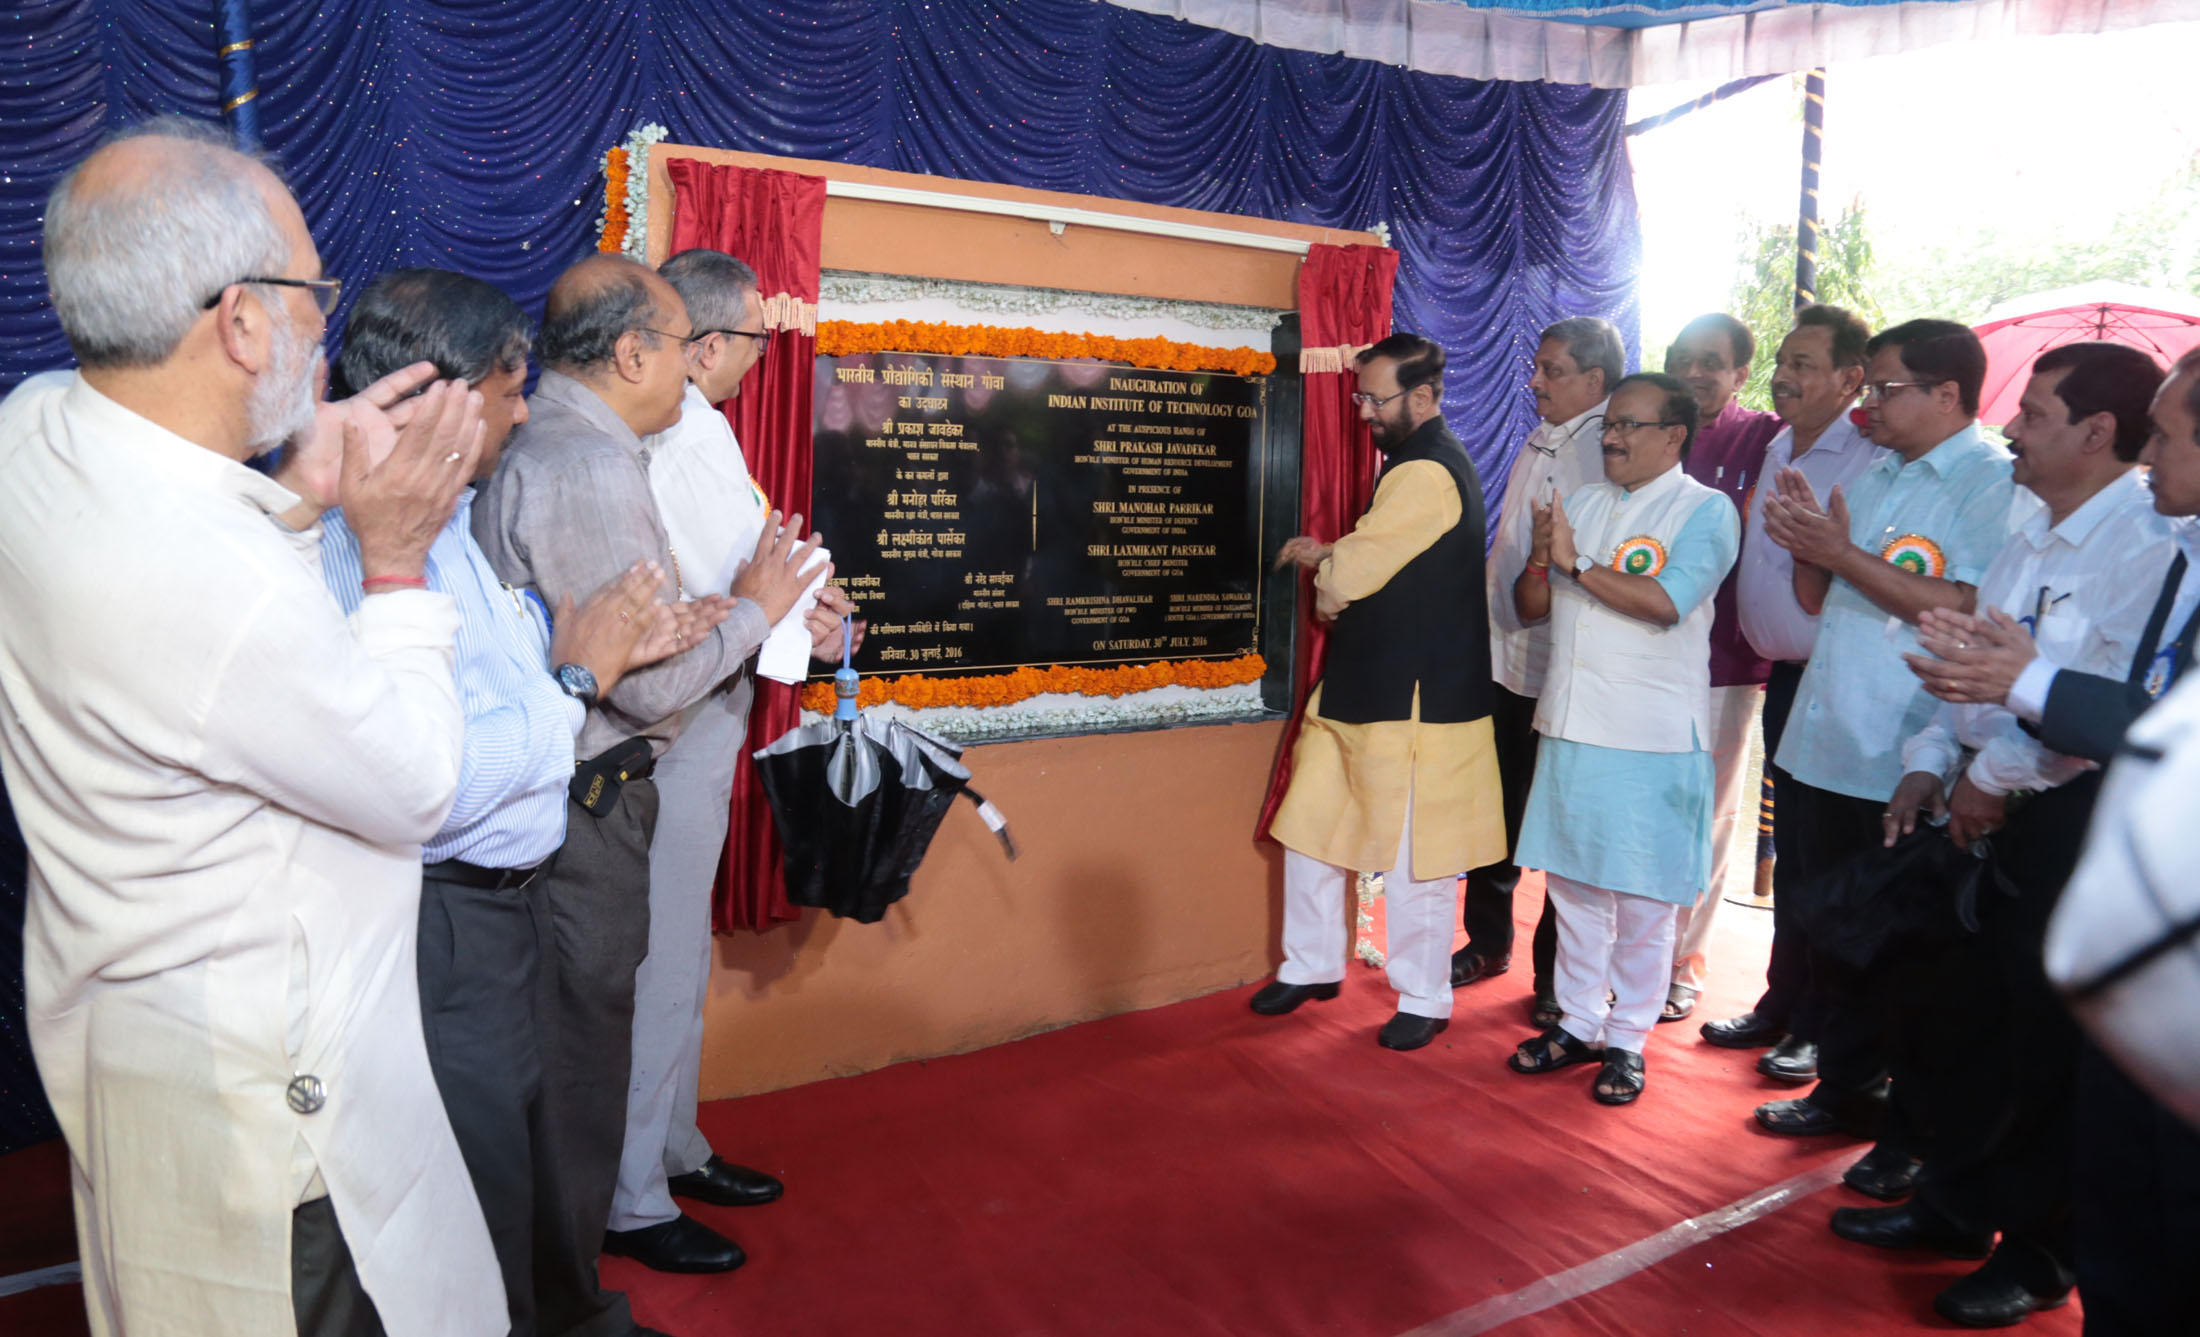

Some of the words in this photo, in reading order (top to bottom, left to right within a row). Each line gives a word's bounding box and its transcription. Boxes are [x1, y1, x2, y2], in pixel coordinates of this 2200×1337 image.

[832, 361, 879, 387] भारतीय
[876, 357, 937, 388] प्रौद्योगिकी
[936, 363, 979, 392] संस्थान
[979, 365, 1008, 393] गोवा
[1108, 376, 1190, 397] INAUGURATION
[1182, 379, 1209, 399] OF
[895, 393, 914, 413] का
[913, 393, 953, 415] उद्घाटन
[1043, 393, 1089, 411] INDIAN
[1089, 393, 1149, 418] INSTITUTE
[1145, 397, 1168, 417] OF
[1164, 397, 1237, 421] TECHNOLOGY
[1234, 401, 1261, 420] GOA
[879, 411, 897, 437] श्री
[895, 418, 927, 438] प्रकाश
[924, 416, 968, 439] जावडेकर
[1091, 436, 1121, 455] SHRI
[1115, 438, 1167, 456] PRAKASH
[1160, 438, 1222, 457] JAVADEKAR
[883, 485, 903, 506] श्री
[899, 485, 932, 509] मनोहर
[927, 485, 962, 509] पर्रिकर
[1088, 498, 1120, 517] SHRI
[1113, 498, 1171, 519] MANOHAR
[1167, 501, 1218, 519] PARRIKAR
[870, 524, 893, 547] श्री
[891, 525, 937, 551] लक्ष्मीकांत
[933, 524, 971, 547] पार्सेकर
[877, 543, 905, 562] माननीय
[1084, 542, 1114, 559] SHRI.
[1111, 541, 1171, 559] LAXMIKANT
[1169, 542, 1219, 560] PARSEKAR
[874, 638, 911, 664] शनिवार
[903, 640, 944, 664] 30 जुलाई
[940, 642, 969, 662] 2016
[1086, 636, 1110, 656] ON
[1104, 634, 1155, 655] SATURDAY.
[1142, 631, 1171, 650] 30th
[1163, 632, 1194, 654] JULY
[1188, 633, 1212, 651] 2016